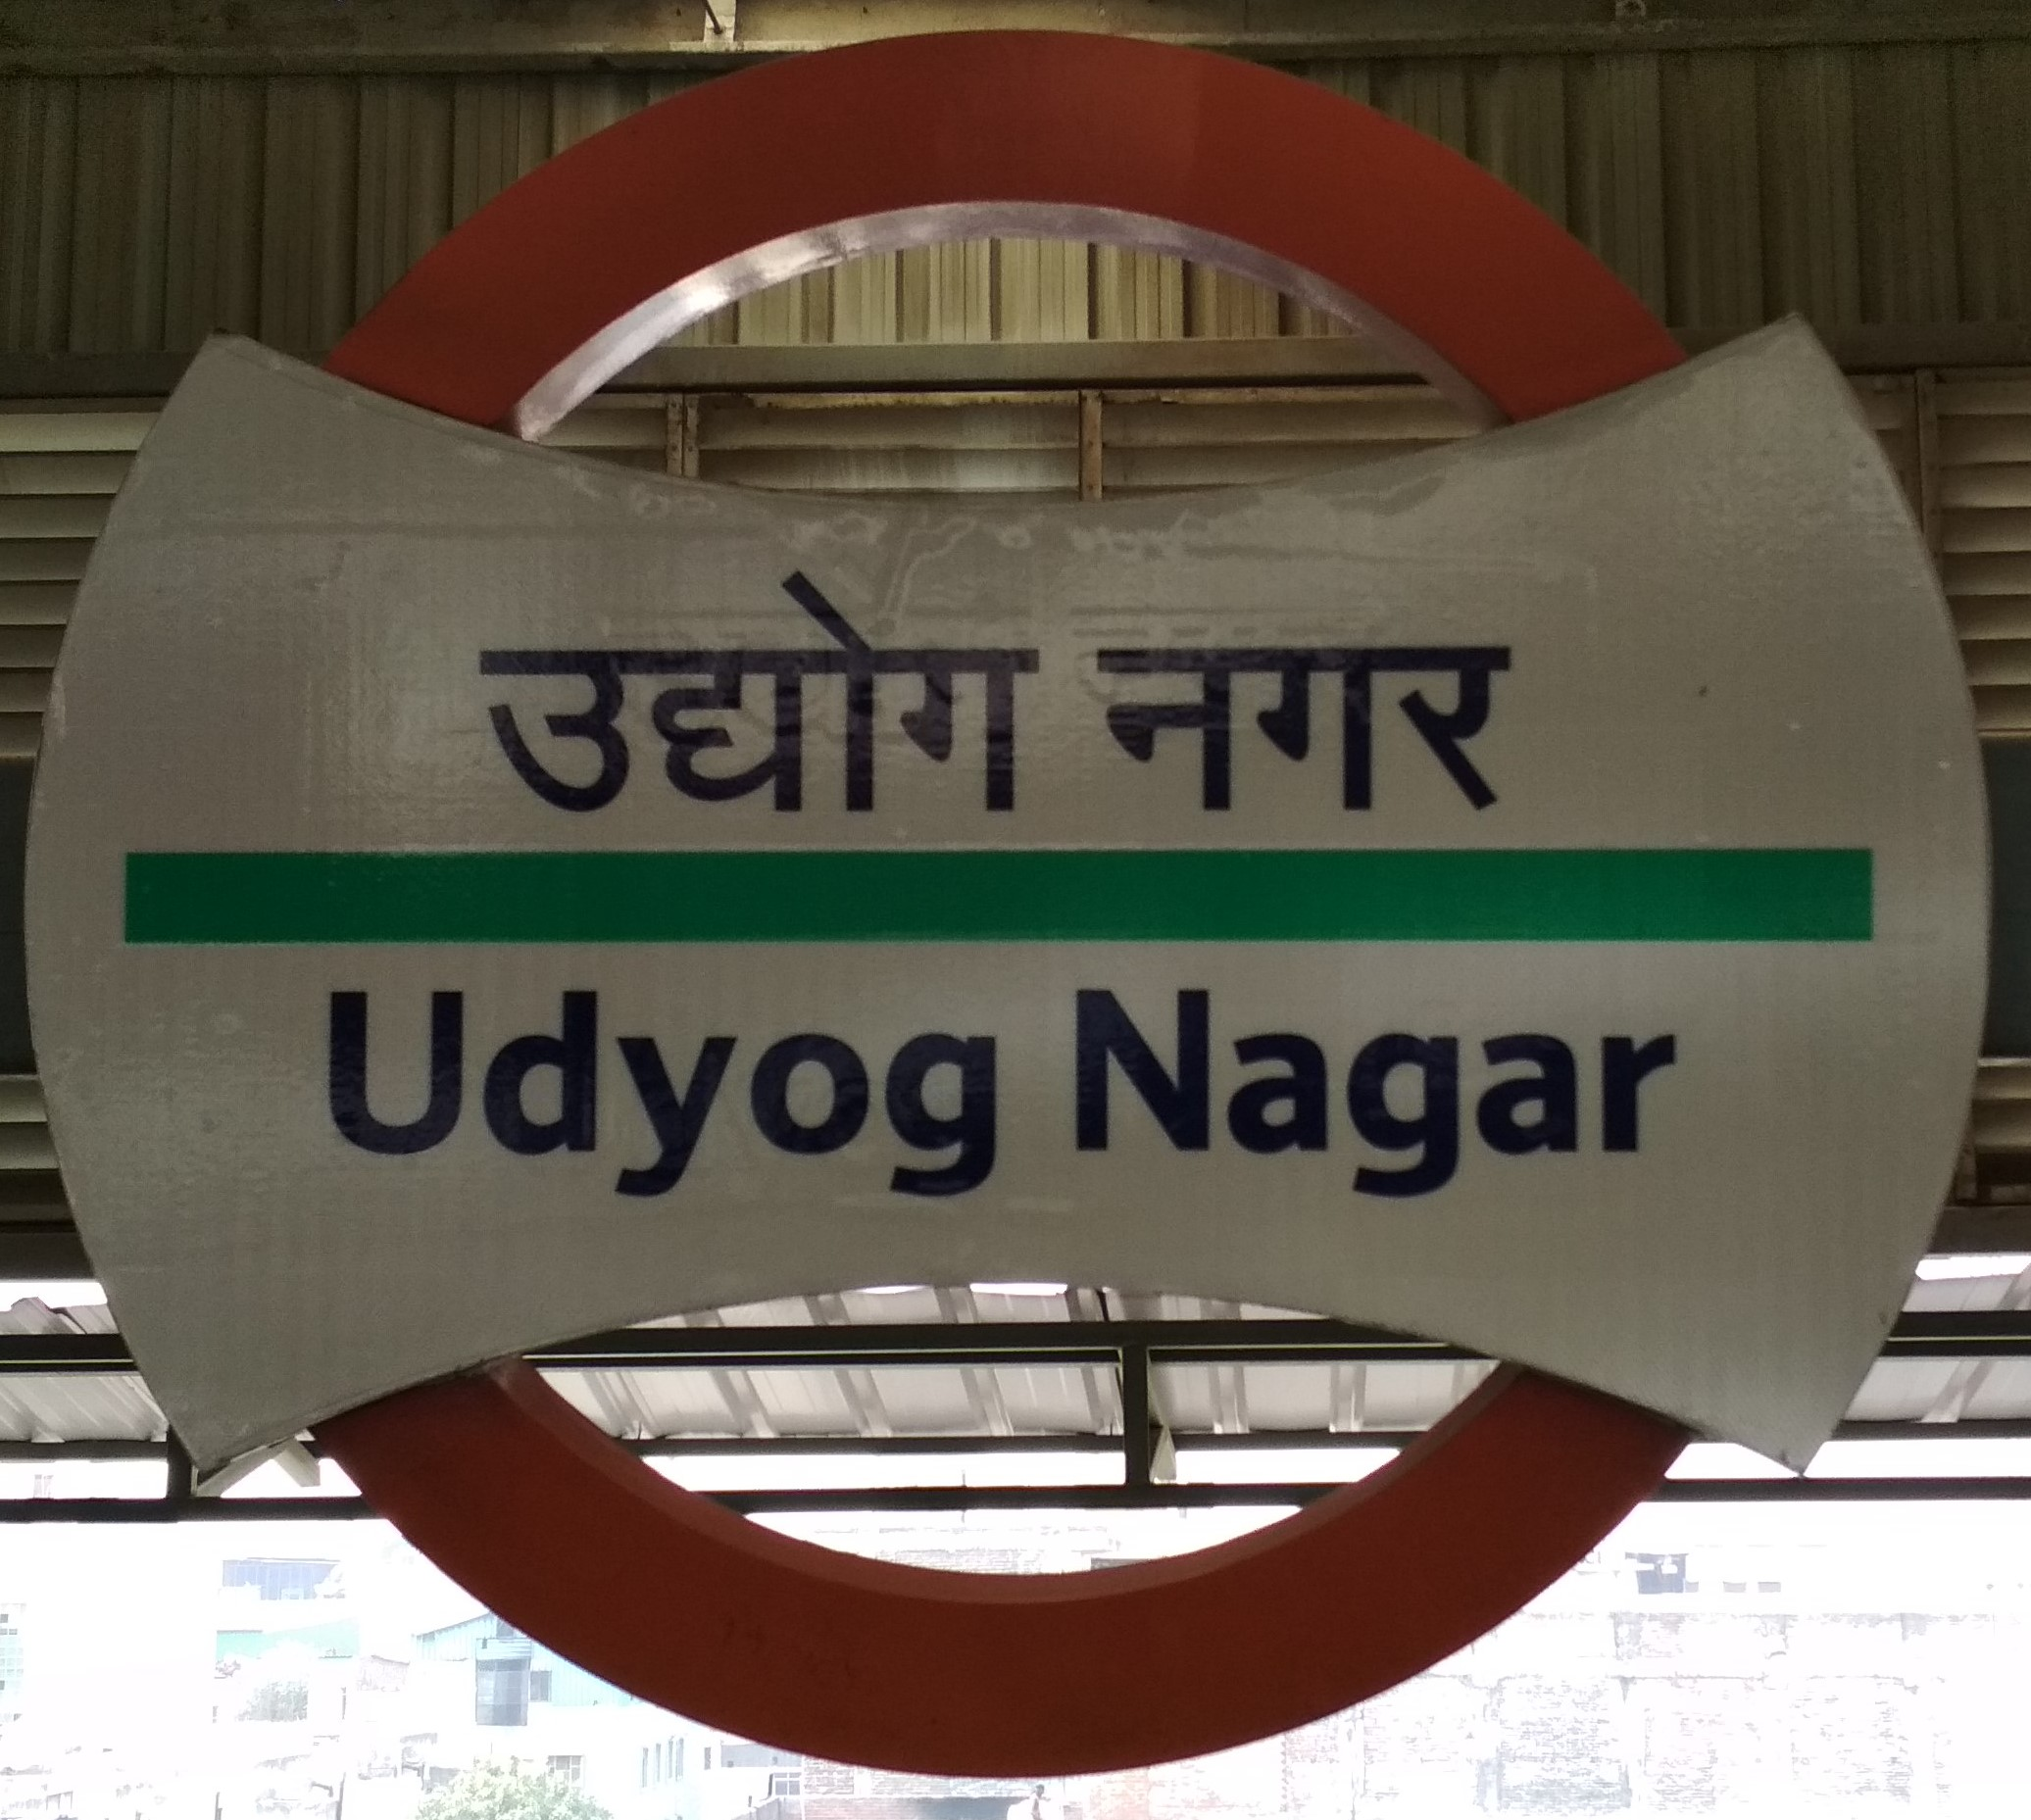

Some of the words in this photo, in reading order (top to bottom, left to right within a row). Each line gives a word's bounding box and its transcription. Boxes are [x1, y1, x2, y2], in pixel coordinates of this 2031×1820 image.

[481, 564, 1046, 820] उद्योग
[1098, 643, 1515, 816] नगर
[322, 988, 1000, 1203] Udyog
[1074, 986, 1679, 1202] Nagar